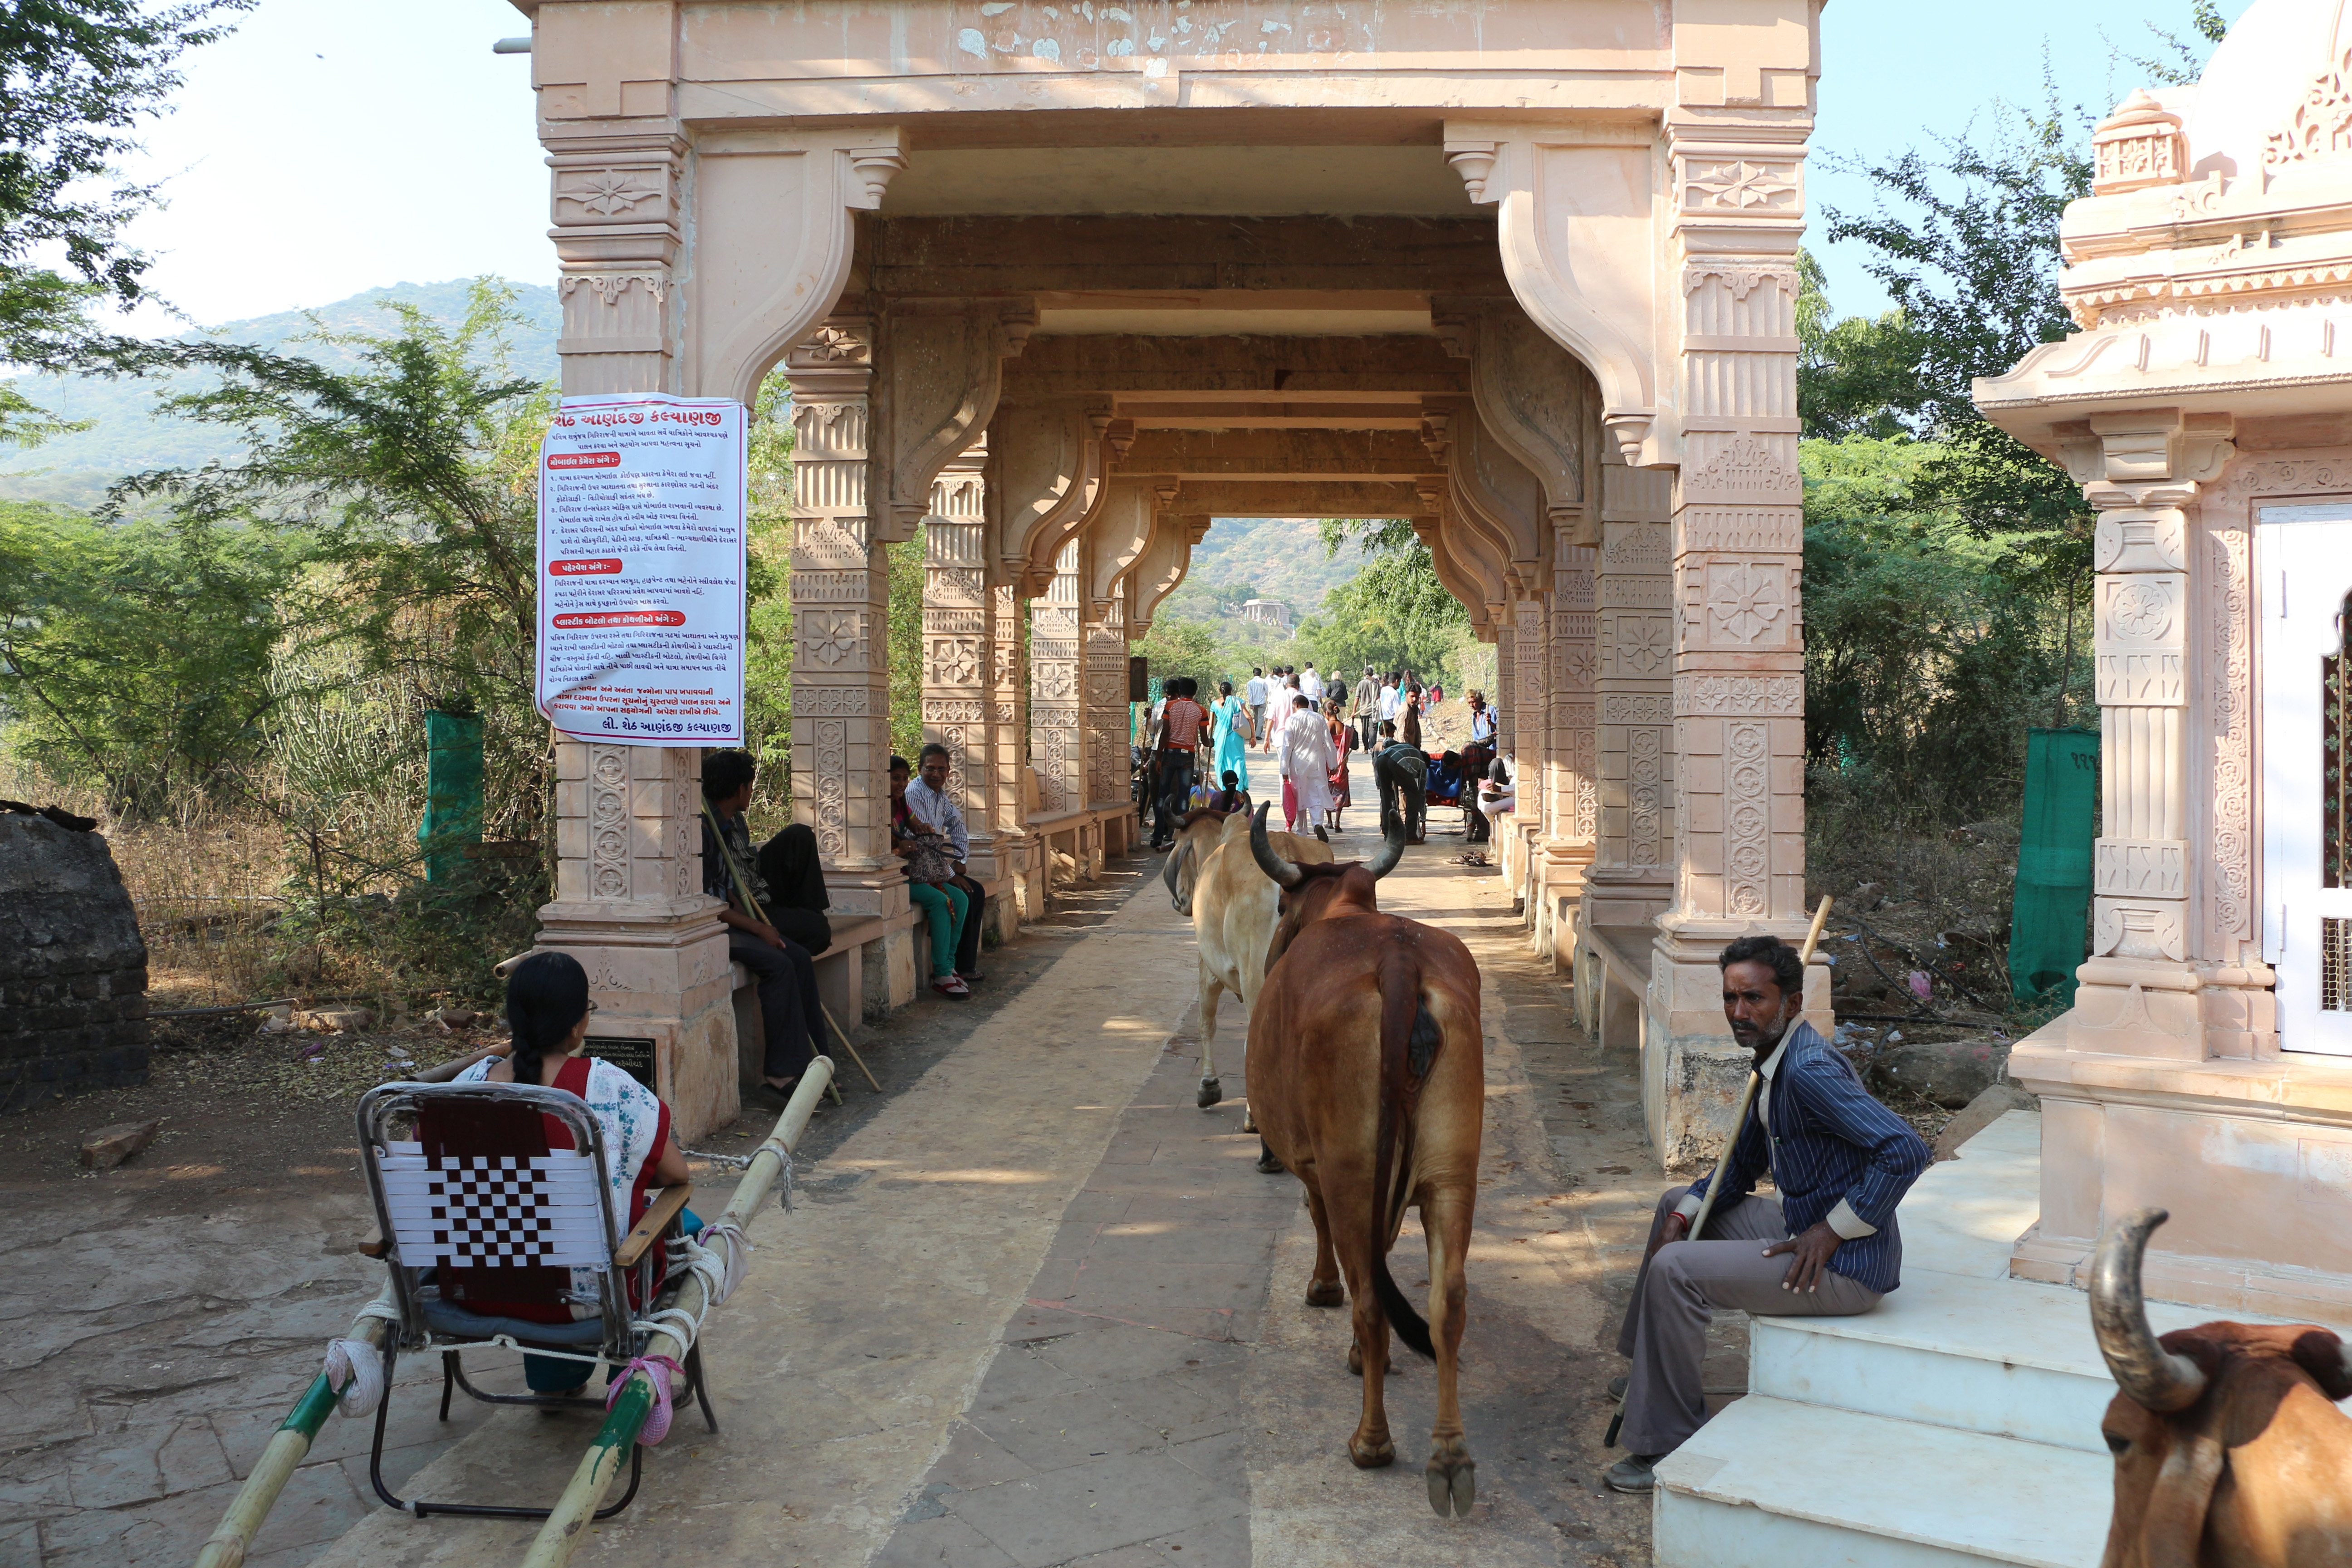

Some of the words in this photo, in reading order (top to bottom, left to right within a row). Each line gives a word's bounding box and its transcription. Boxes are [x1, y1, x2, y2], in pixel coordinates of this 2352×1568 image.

[554, 410, 578, 430] શેઠ
[579, 406, 647, 427] આણંદજી
[648, 408, 724, 428] કલ્યાણજી
[548, 454, 577, 467] મોબાઇલ
[576, 454, 596, 466] કેમેરા
[596, 453, 610, 466] અંગે
[559, 560, 587, 574] પહેરવેશ
[586, 559, 603, 571] અંગે
[553, 614, 583, 627] પ્લાસ્ટીક
[583, 615, 607, 626] બોટલો
[607, 616, 622, 625] તથા
[621, 612, 655, 625] કોથળીઓ
[653, 612, 670, 623] અંગે
[577, 684, 600, 692] પાવન
[599, 682, 614, 694] અને
[613, 683, 635, 695] અનંતા
[635, 685, 664, 696] જન્મોના
[663, 687, 679, 696] પાપ
[677, 686, 716, 696] ખપાવવાની
[600, 714, 618, 731] લી.
[621, 715, 639, 733] શેઠ
[639, 716, 684, 736] આણંદજી
[685, 721, 735, 735] કલ્યાણજી